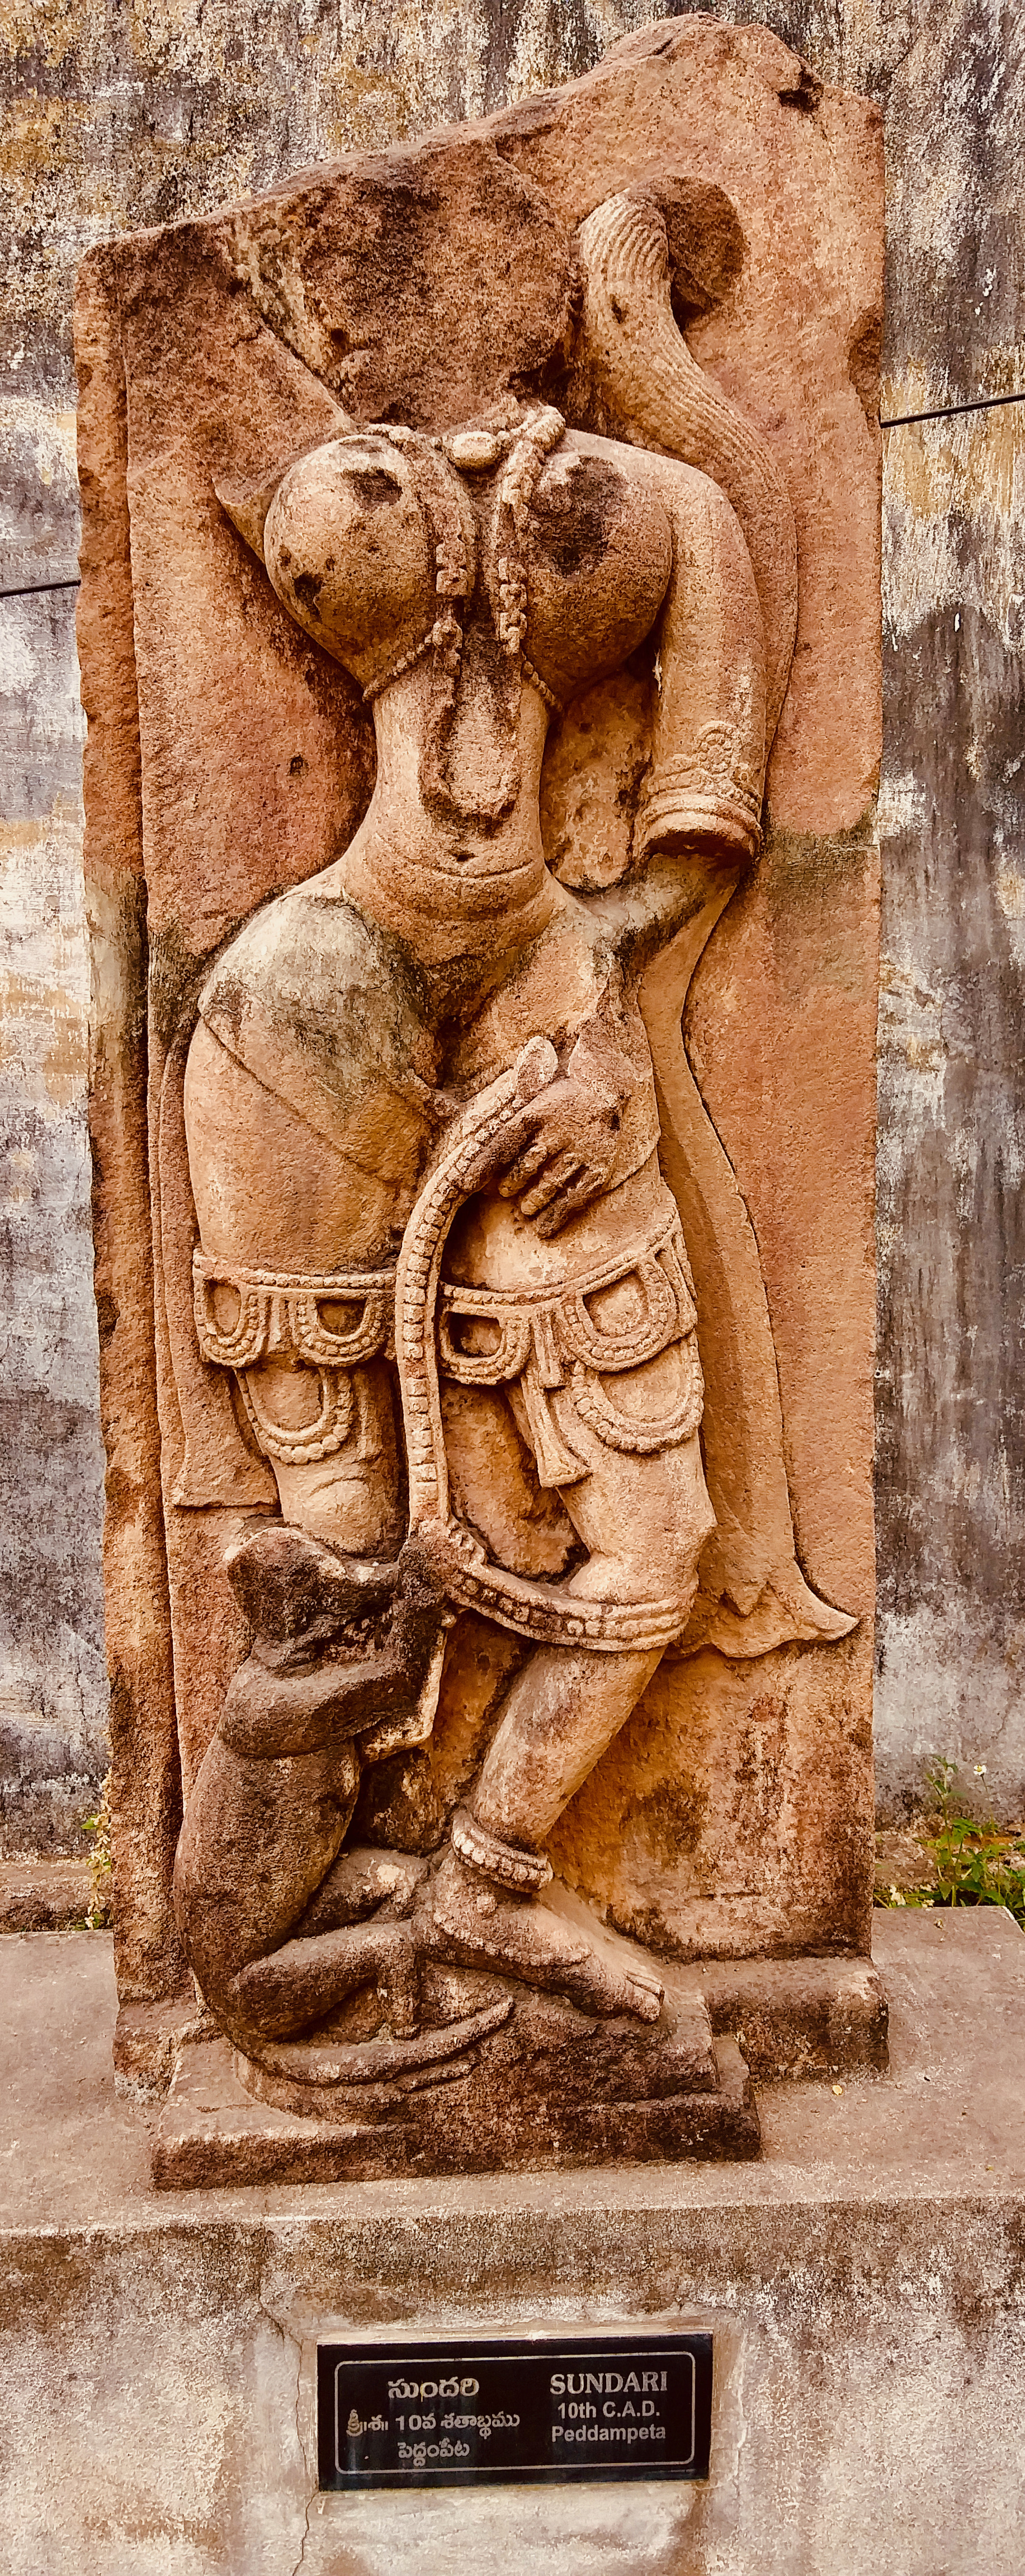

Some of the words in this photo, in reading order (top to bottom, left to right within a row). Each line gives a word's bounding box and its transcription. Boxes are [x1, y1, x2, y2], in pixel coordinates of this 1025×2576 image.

[384, 2373, 481, 2400] సుందరి
[547, 2369, 670, 2397] SUNDARI
[344, 2405, 391, 2439] శ్రీ॥శ॥
[391, 2409, 438, 2435] 10 వ
[437, 2408, 523, 2440] శతాబ్థము
[554, 2400, 602, 2422] 10th
[549, 2421, 667, 2450] Peddampeta
[599, 2395, 663, 2422] C.A.D.
[394, 2435, 472, 2469] పెద్దంపేట